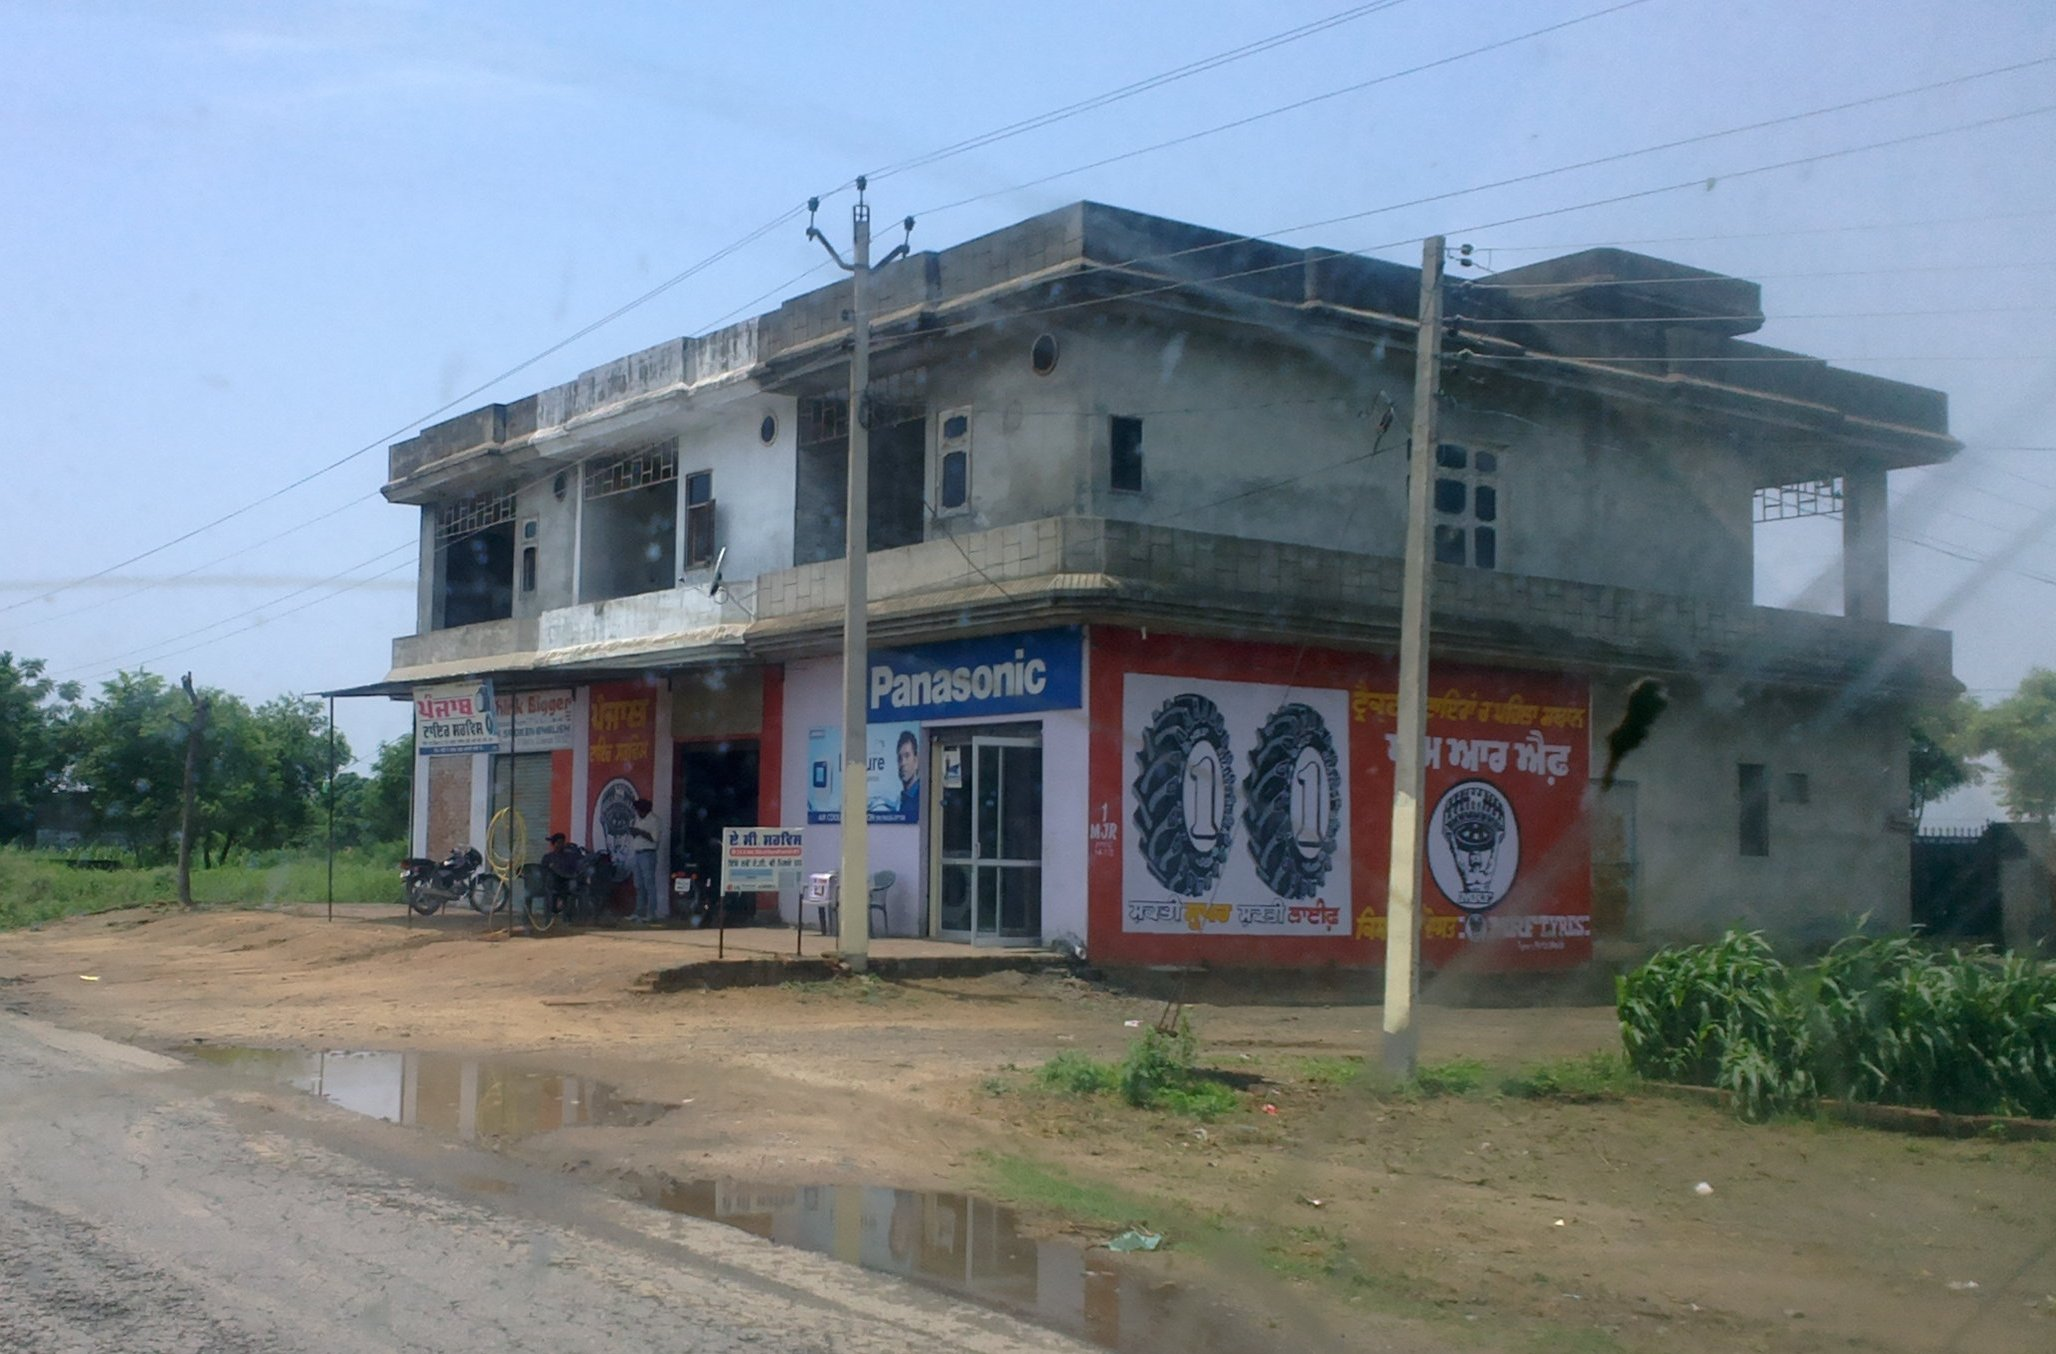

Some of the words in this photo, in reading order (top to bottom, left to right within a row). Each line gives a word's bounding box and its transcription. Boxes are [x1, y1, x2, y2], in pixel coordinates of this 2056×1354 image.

[867, 643, 1059, 716] Panasonic
[419, 720, 451, 741] ਟਾਇਰ
[413, 690, 477, 723] ਪੰਜਾਬ
[449, 717, 487, 738] ਸਰਵਿਸ
[526, 691, 575, 717] Bigger
[590, 689, 657, 733] ਪੰਜਾਲ
[1474, 688, 1547, 731] ਚਪਹਿਲਾ
[1443, 727, 1513, 777] ਆਰ
[1511, 726, 1578, 792] ਐਫ਼
[725, 828, 741, 849] ਦੇ
[741, 827, 761, 847] ਸੀ
[760, 828, 803, 848] ਸਰਵਿਸ
[1088, 821, 1123, 843] MJR
[1125, 891, 1185, 931] ਸਕਤੀ
[1233, 891, 1288, 933] ਸਕਤੀ
[1287, 893, 1348, 936] ਲਾਈਫ਼